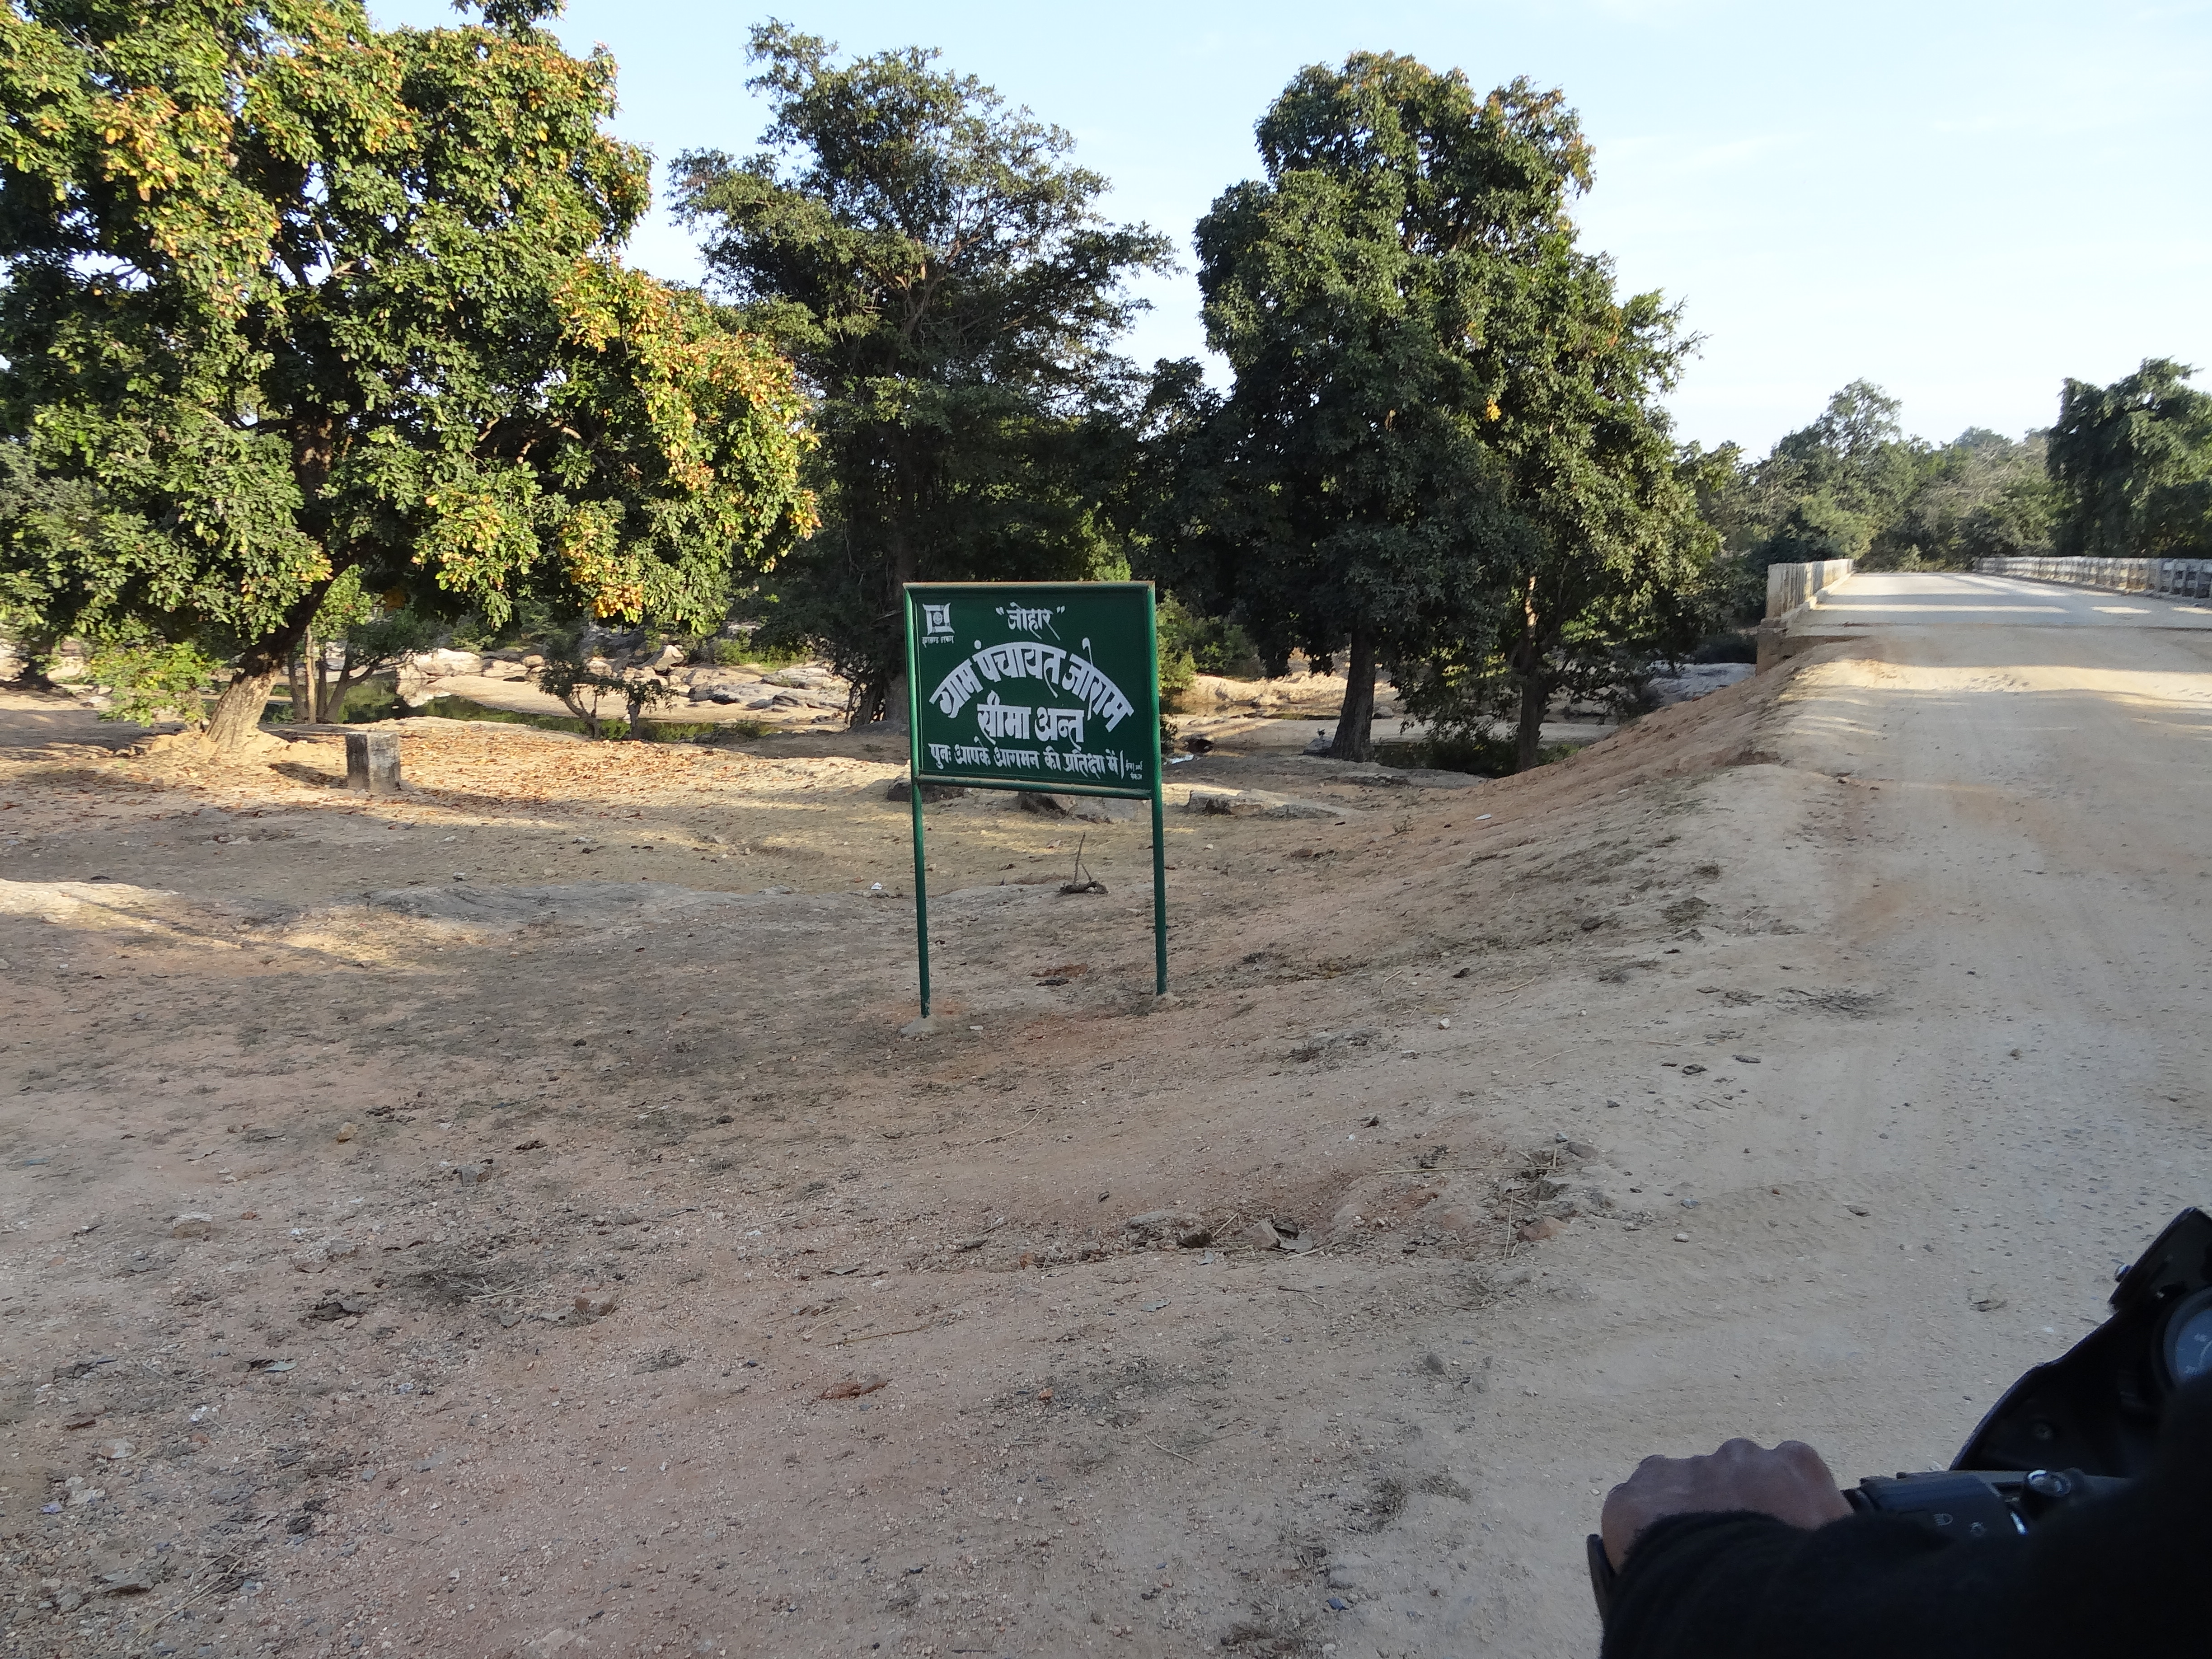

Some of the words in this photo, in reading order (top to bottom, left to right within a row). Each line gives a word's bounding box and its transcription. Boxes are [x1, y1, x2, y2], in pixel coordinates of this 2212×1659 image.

[1001, 595, 1063, 642] जोहार
[927, 653, 987, 726] ग्राम
[967, 636, 1069, 701] पंचायत
[1054, 633, 1138, 739] जाराम
[927, 738, 954, 773] पुनः
[951, 735, 995, 769] आपके
[973, 687, 1034, 747] सीमा
[990, 744, 1042, 773] आगमन
[1036, 742, 1065, 775] की
[1027, 704, 1090, 754] अन्त
[1061, 743, 1108, 783] प्रतिक्षा
[1097, 742, 1128, 779] में